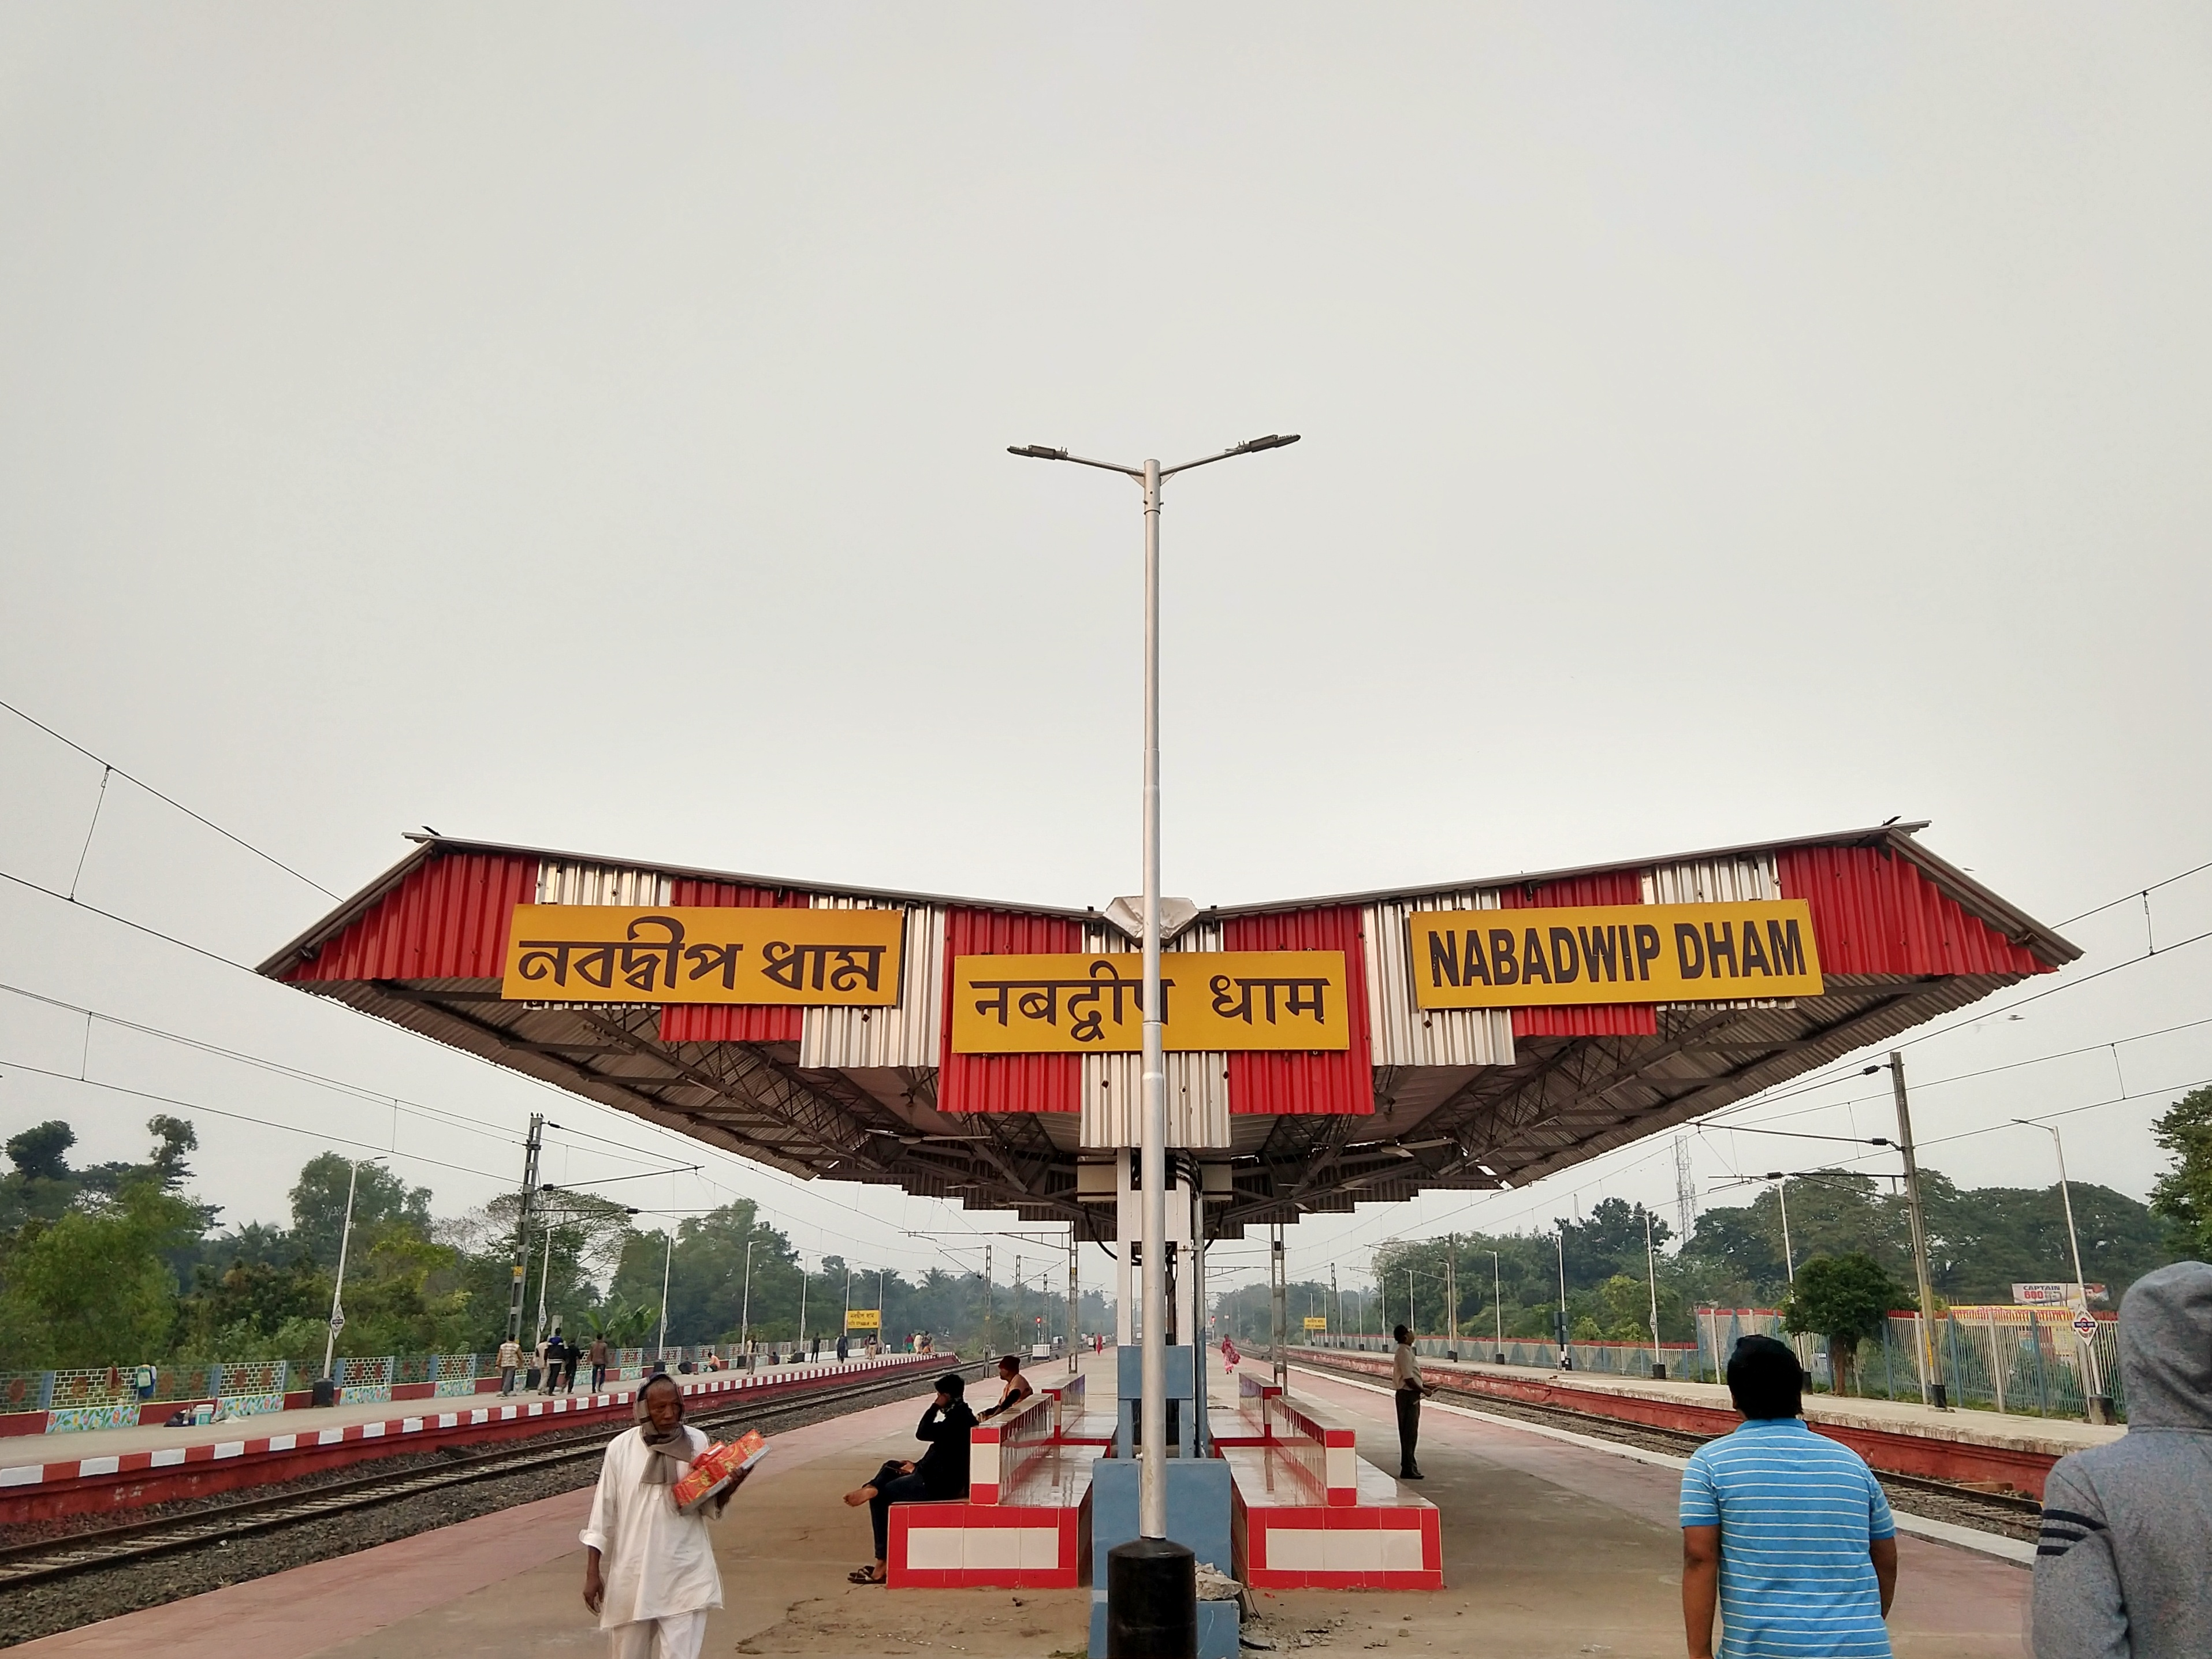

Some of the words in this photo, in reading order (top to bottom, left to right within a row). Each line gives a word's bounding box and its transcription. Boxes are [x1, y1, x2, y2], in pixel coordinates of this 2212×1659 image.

[509, 910, 747, 992] নবদ্বীপ
[759, 934, 889, 1000] ধাম
[964, 949, 1178, 1050] नबद्वीप
[1200, 967, 1332, 1033] धाम
[1424, 916, 1665, 990] NABADWIP
[1664, 912, 1811, 984] DHAM
[2020, 1286, 2045, 1303] 600
[2019, 1280, 2062, 1292] CAPTAIN